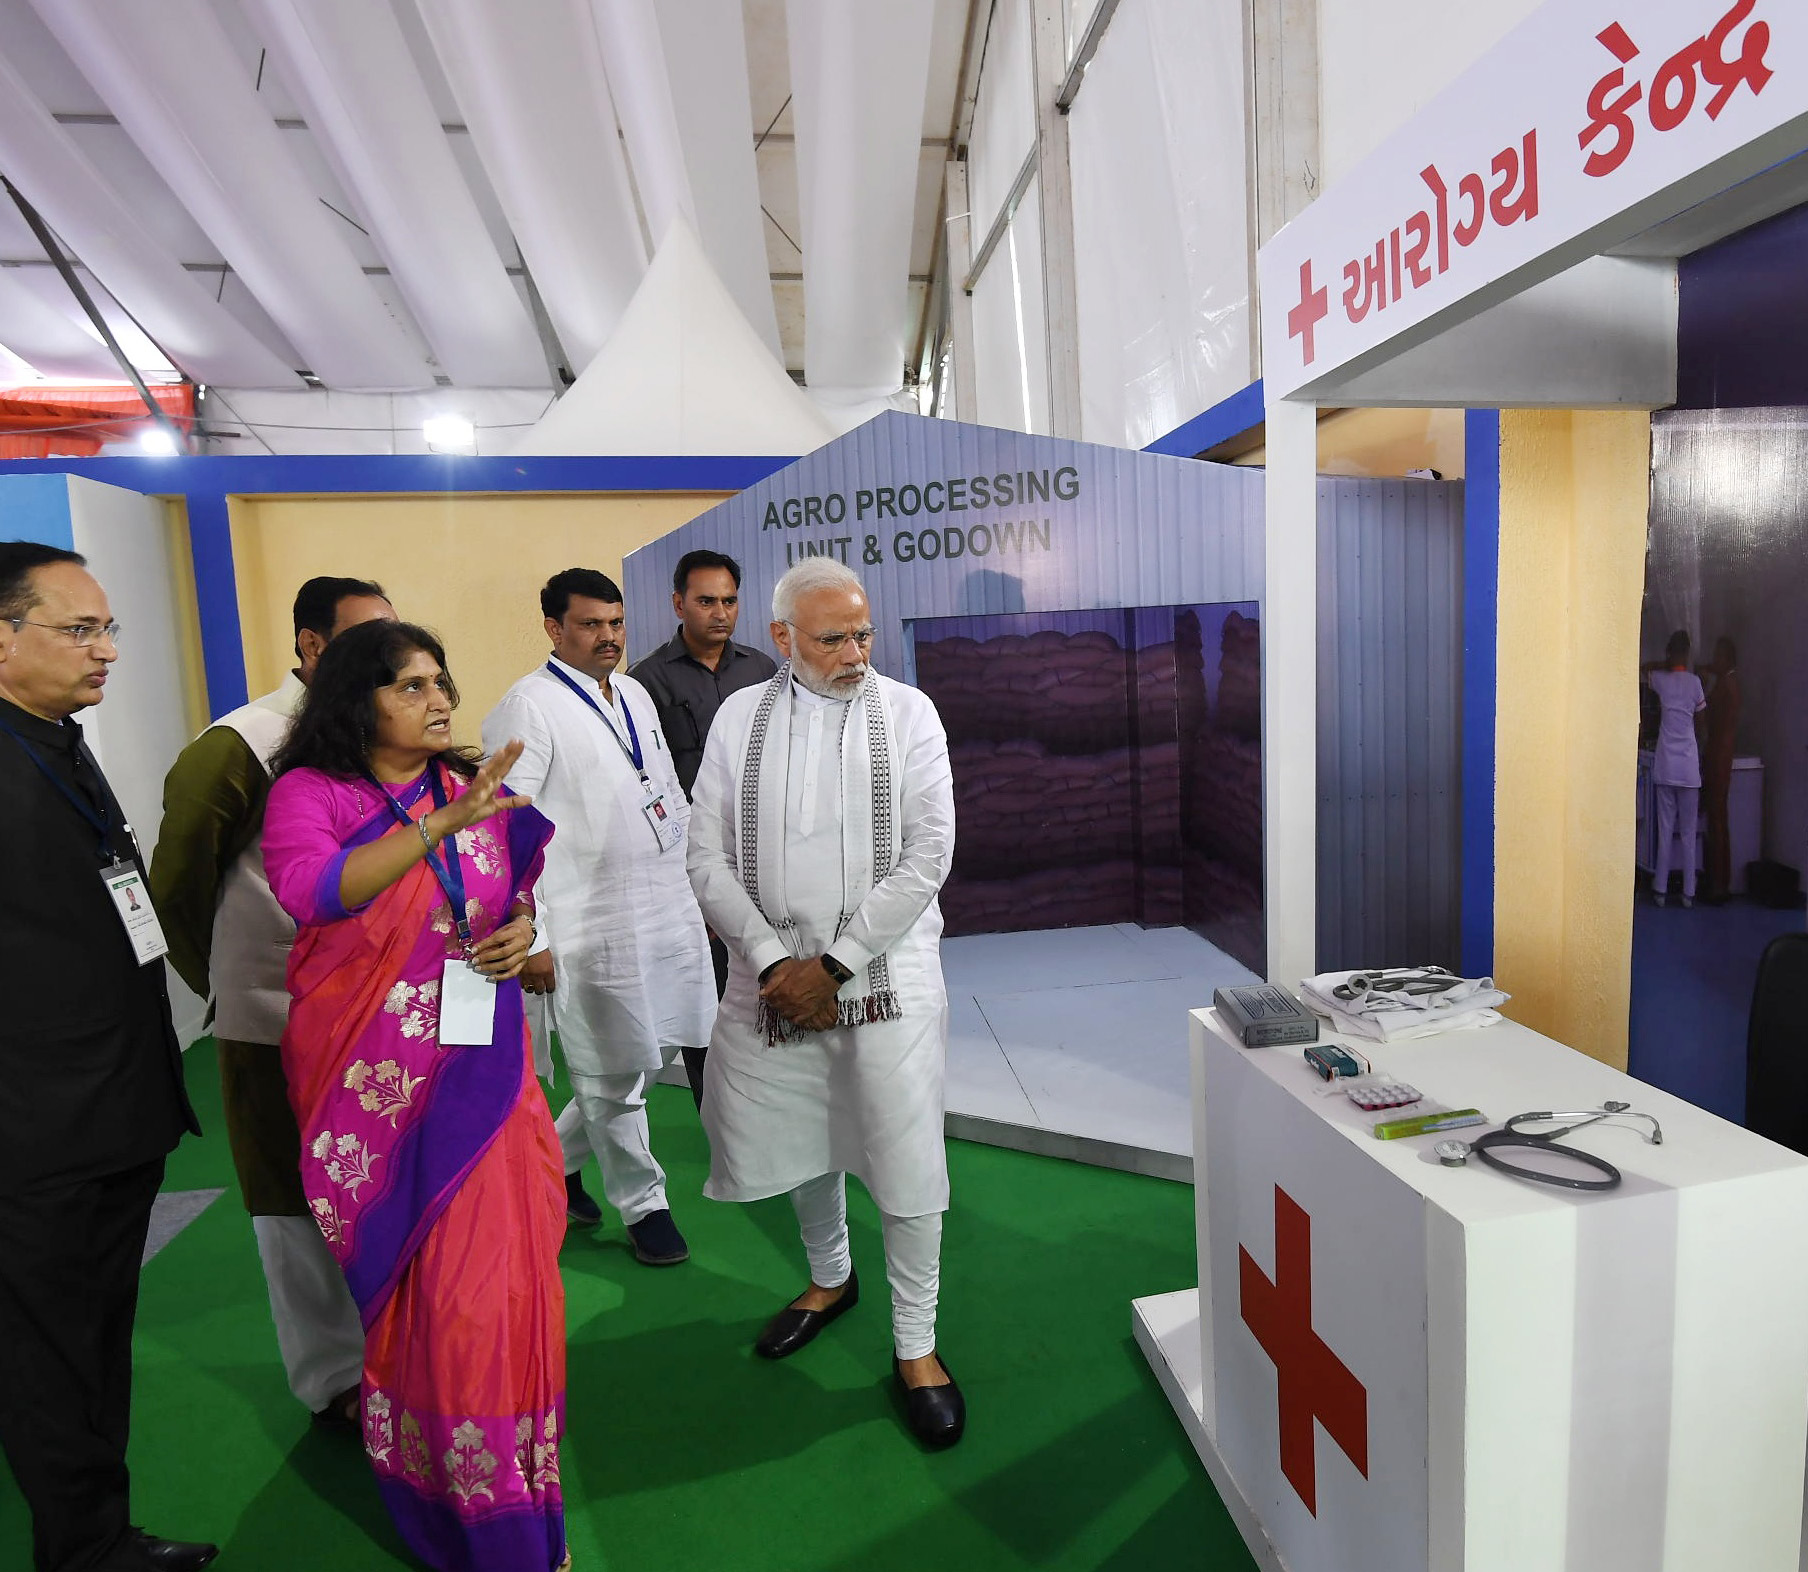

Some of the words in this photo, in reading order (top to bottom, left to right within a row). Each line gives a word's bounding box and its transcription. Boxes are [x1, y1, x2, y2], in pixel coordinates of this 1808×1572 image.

[1576, 13, 1777, 175] કેન્દ્ર
[1327, 126, 1544, 323] આરોગ્ય
[760, 491, 841, 534] AGRO
[781, 530, 854, 568] UNIT
[856, 536, 883, 568] &
[860, 463, 1078, 521] PROCESSING
[889, 510, 1059, 568] GODOWN